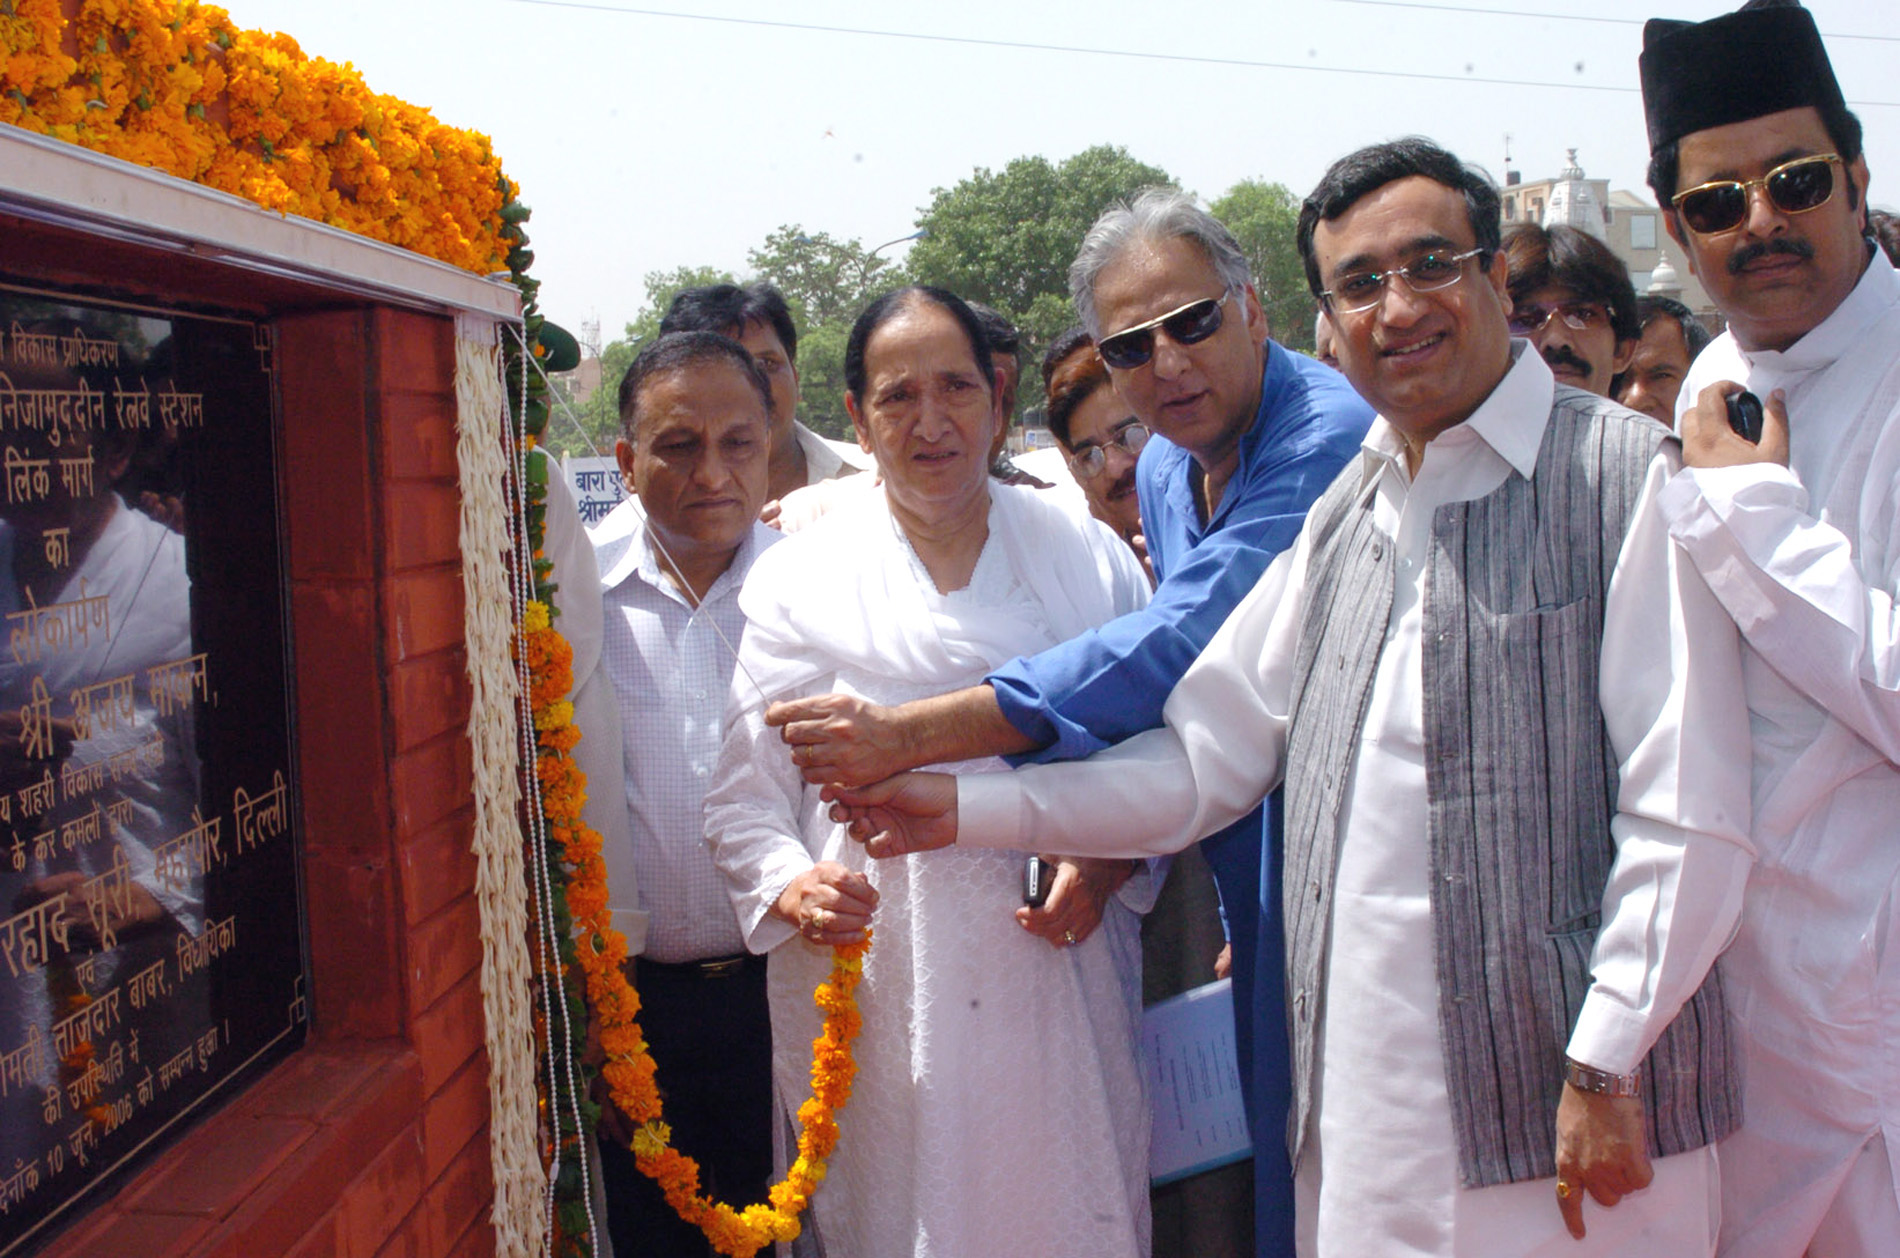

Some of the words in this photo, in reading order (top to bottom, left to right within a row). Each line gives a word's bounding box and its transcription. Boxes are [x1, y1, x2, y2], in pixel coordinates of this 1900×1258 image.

[1, 311, 63, 368] विकास
[55, 322, 126, 375] प्राधिकरण
[0, 369, 114, 453] निजामुद्दीन
[107, 371, 158, 436] रेलवे
[151, 375, 213, 434] स्टेशन
[4, 438, 58, 510] लिंक
[55, 442, 100, 505] मार्ग
[35, 524, 77, 576] का
[5, 573, 117, 672] लोकार्पण
[10, 667, 63, 768] श्री
[64, 671, 141, 751] अजय
[142, 648, 214, 726] माकन
[5, 822, 37, 878] के
[10, 764, 61, 829] शहरी
[27, 824, 65, 874] क‍र
[59, 795, 106, 862] कमलों
[55, 753, 113, 812] विकास
[100, 793, 140, 843] द्वारा
[101, 742, 142, 795] सञ्य
[147, 799, 232, 903] महापैार
[222, 769, 293, 856] दिल्ली
[78, 836, 141, 958] सूरी
[66, 944, 107, 998] एवं
[119, 952, 178, 1017] बाबर,
[168, 910, 244, 994] विधायिका
[1, 1147, 45, 1224] दनाँक
[35, 1078, 69, 1133] कीे
[33, 1138, 71, 1184] 10
[62, 1116, 100, 1171] जून,
[44, 978, 130, 1067] ताजदार
[62, 1033, 132, 1120] उपस्थिति
[96, 1086, 140, 1141] 2006
[117, 1022, 148, 1075] में
[129, 1058, 162, 1113] को
[153, 1039, 202, 1095] सम्पन्न
[193, 1019, 231, 1084] हुआ